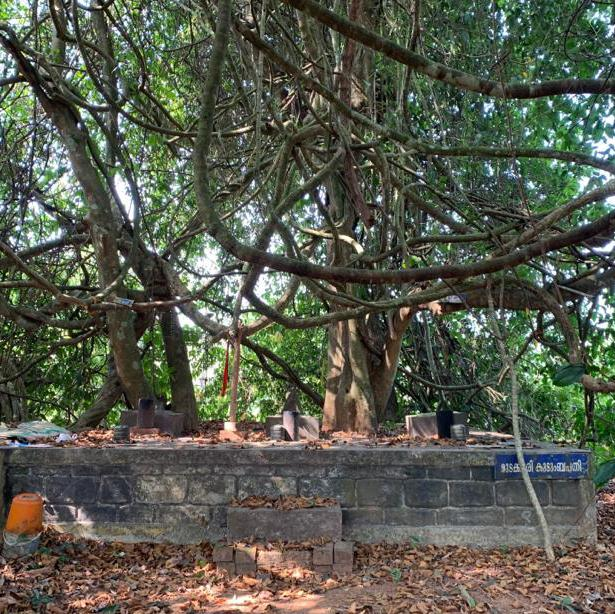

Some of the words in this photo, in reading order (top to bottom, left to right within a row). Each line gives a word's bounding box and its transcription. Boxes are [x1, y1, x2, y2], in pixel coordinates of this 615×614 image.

[535, 455, 587, 476] കുടാംബപതി